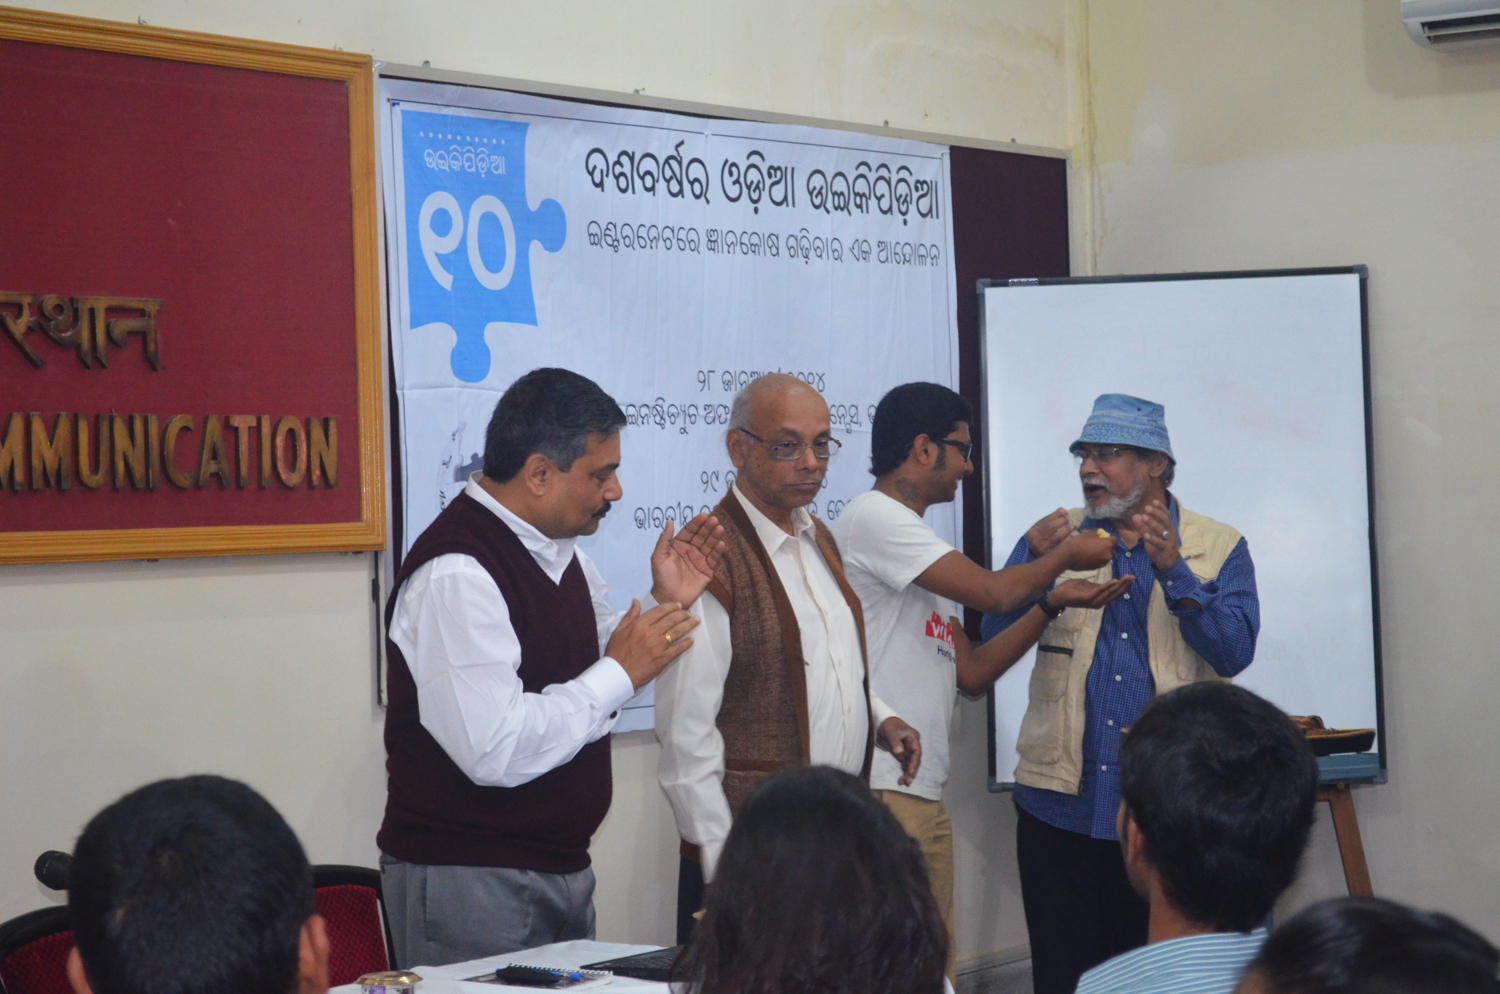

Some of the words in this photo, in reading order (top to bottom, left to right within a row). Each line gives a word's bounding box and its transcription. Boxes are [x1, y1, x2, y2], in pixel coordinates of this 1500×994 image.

[417, 137, 513, 181] ଉଇକିପିଡ଼ିଆ
[580, 134, 713, 207] ଦଶବର୍ଷର
[714, 145, 801, 216] ଓଡ଼ିଆ
[800, 150, 943, 228] ଉଇକିପିଡ଼ିଆ
[413, 178, 525, 301] ୧୦
[583, 213, 707, 257] ଇଣ୍ଟରନେଟରେ
[701, 223, 785, 262] ଜ୍ଞାନକୋଷ
[782, 226, 846, 266] ଗଢ଼ିବାର
[840, 233, 877, 270] ଏକ
[873, 231, 946, 271] ଆନ୍ଦୋଳନ
[0, 281, 176, 386] स्थान
[618, 387, 705, 441] ଇନଷ୍ଟିଚ୍ୟୁତ
[0, 405, 346, 502] MMUNICATION